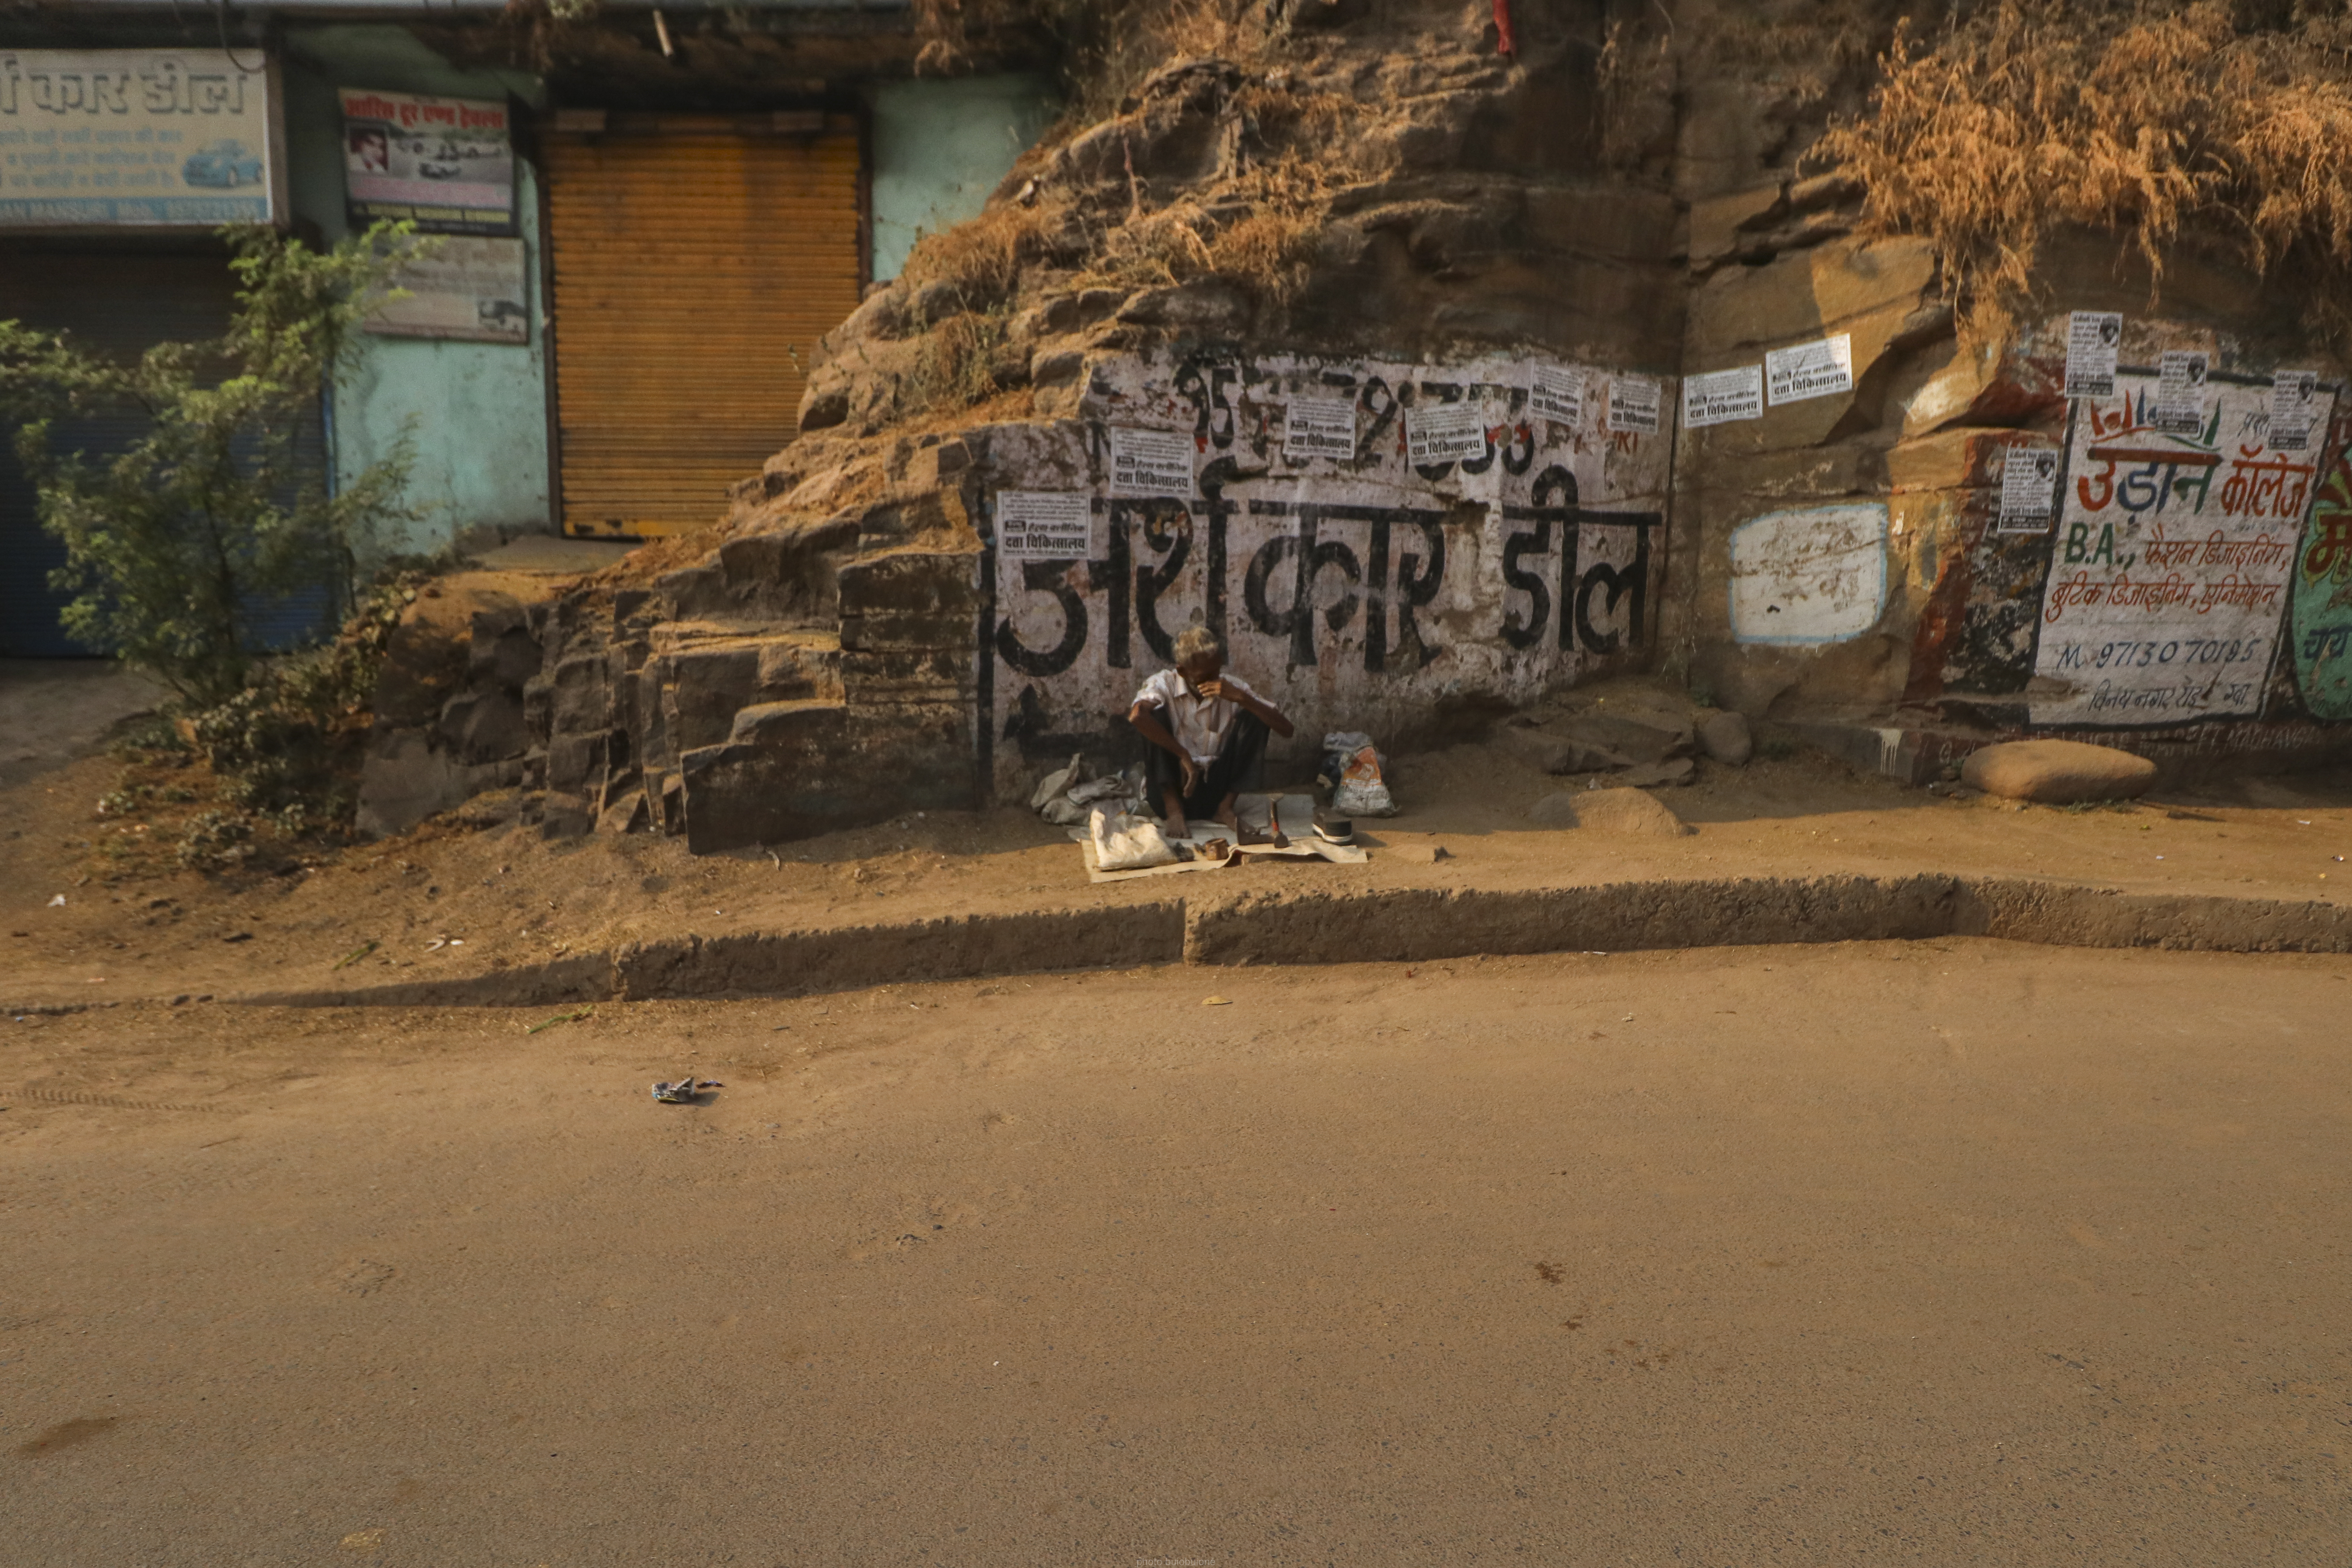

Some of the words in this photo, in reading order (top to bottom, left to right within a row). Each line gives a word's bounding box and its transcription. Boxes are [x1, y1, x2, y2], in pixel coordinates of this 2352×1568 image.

[27, 64, 129, 117] कार
[135, 53, 247, 116] डील
[342, 92, 397, 121] शक्ति
[397, 101, 420, 131] टूर
[422, 103, 457, 126] एण्ड
[458, 102, 503, 131] ट्रेवल्स
[1112, 467, 1136, 486] दत्ता
[1133, 466, 1189, 489] चिकित्सालय
[2072, 447, 2223, 528] उड़ान
[2215, 440, 2316, 519] कॅालेज
[999, 530, 1027, 552] दवा
[1022, 527, 1087, 553] चिकित्सालय
[992, 445, 1485, 683] जर्शकार
[1492, 454, 1662, 657] डील
[2056, 520, 2142, 575] B.A.,
[2141, 518, 2205, 570] फैशन
[2193, 524, 2289, 573] डिजाइनिंग
[2054, 637, 2263, 672] M-9713070195
[2087, 674, 2137, 714] विनय
[2130, 683, 2178, 711] नगर
[2219, 681, 2252, 708] ग्वा